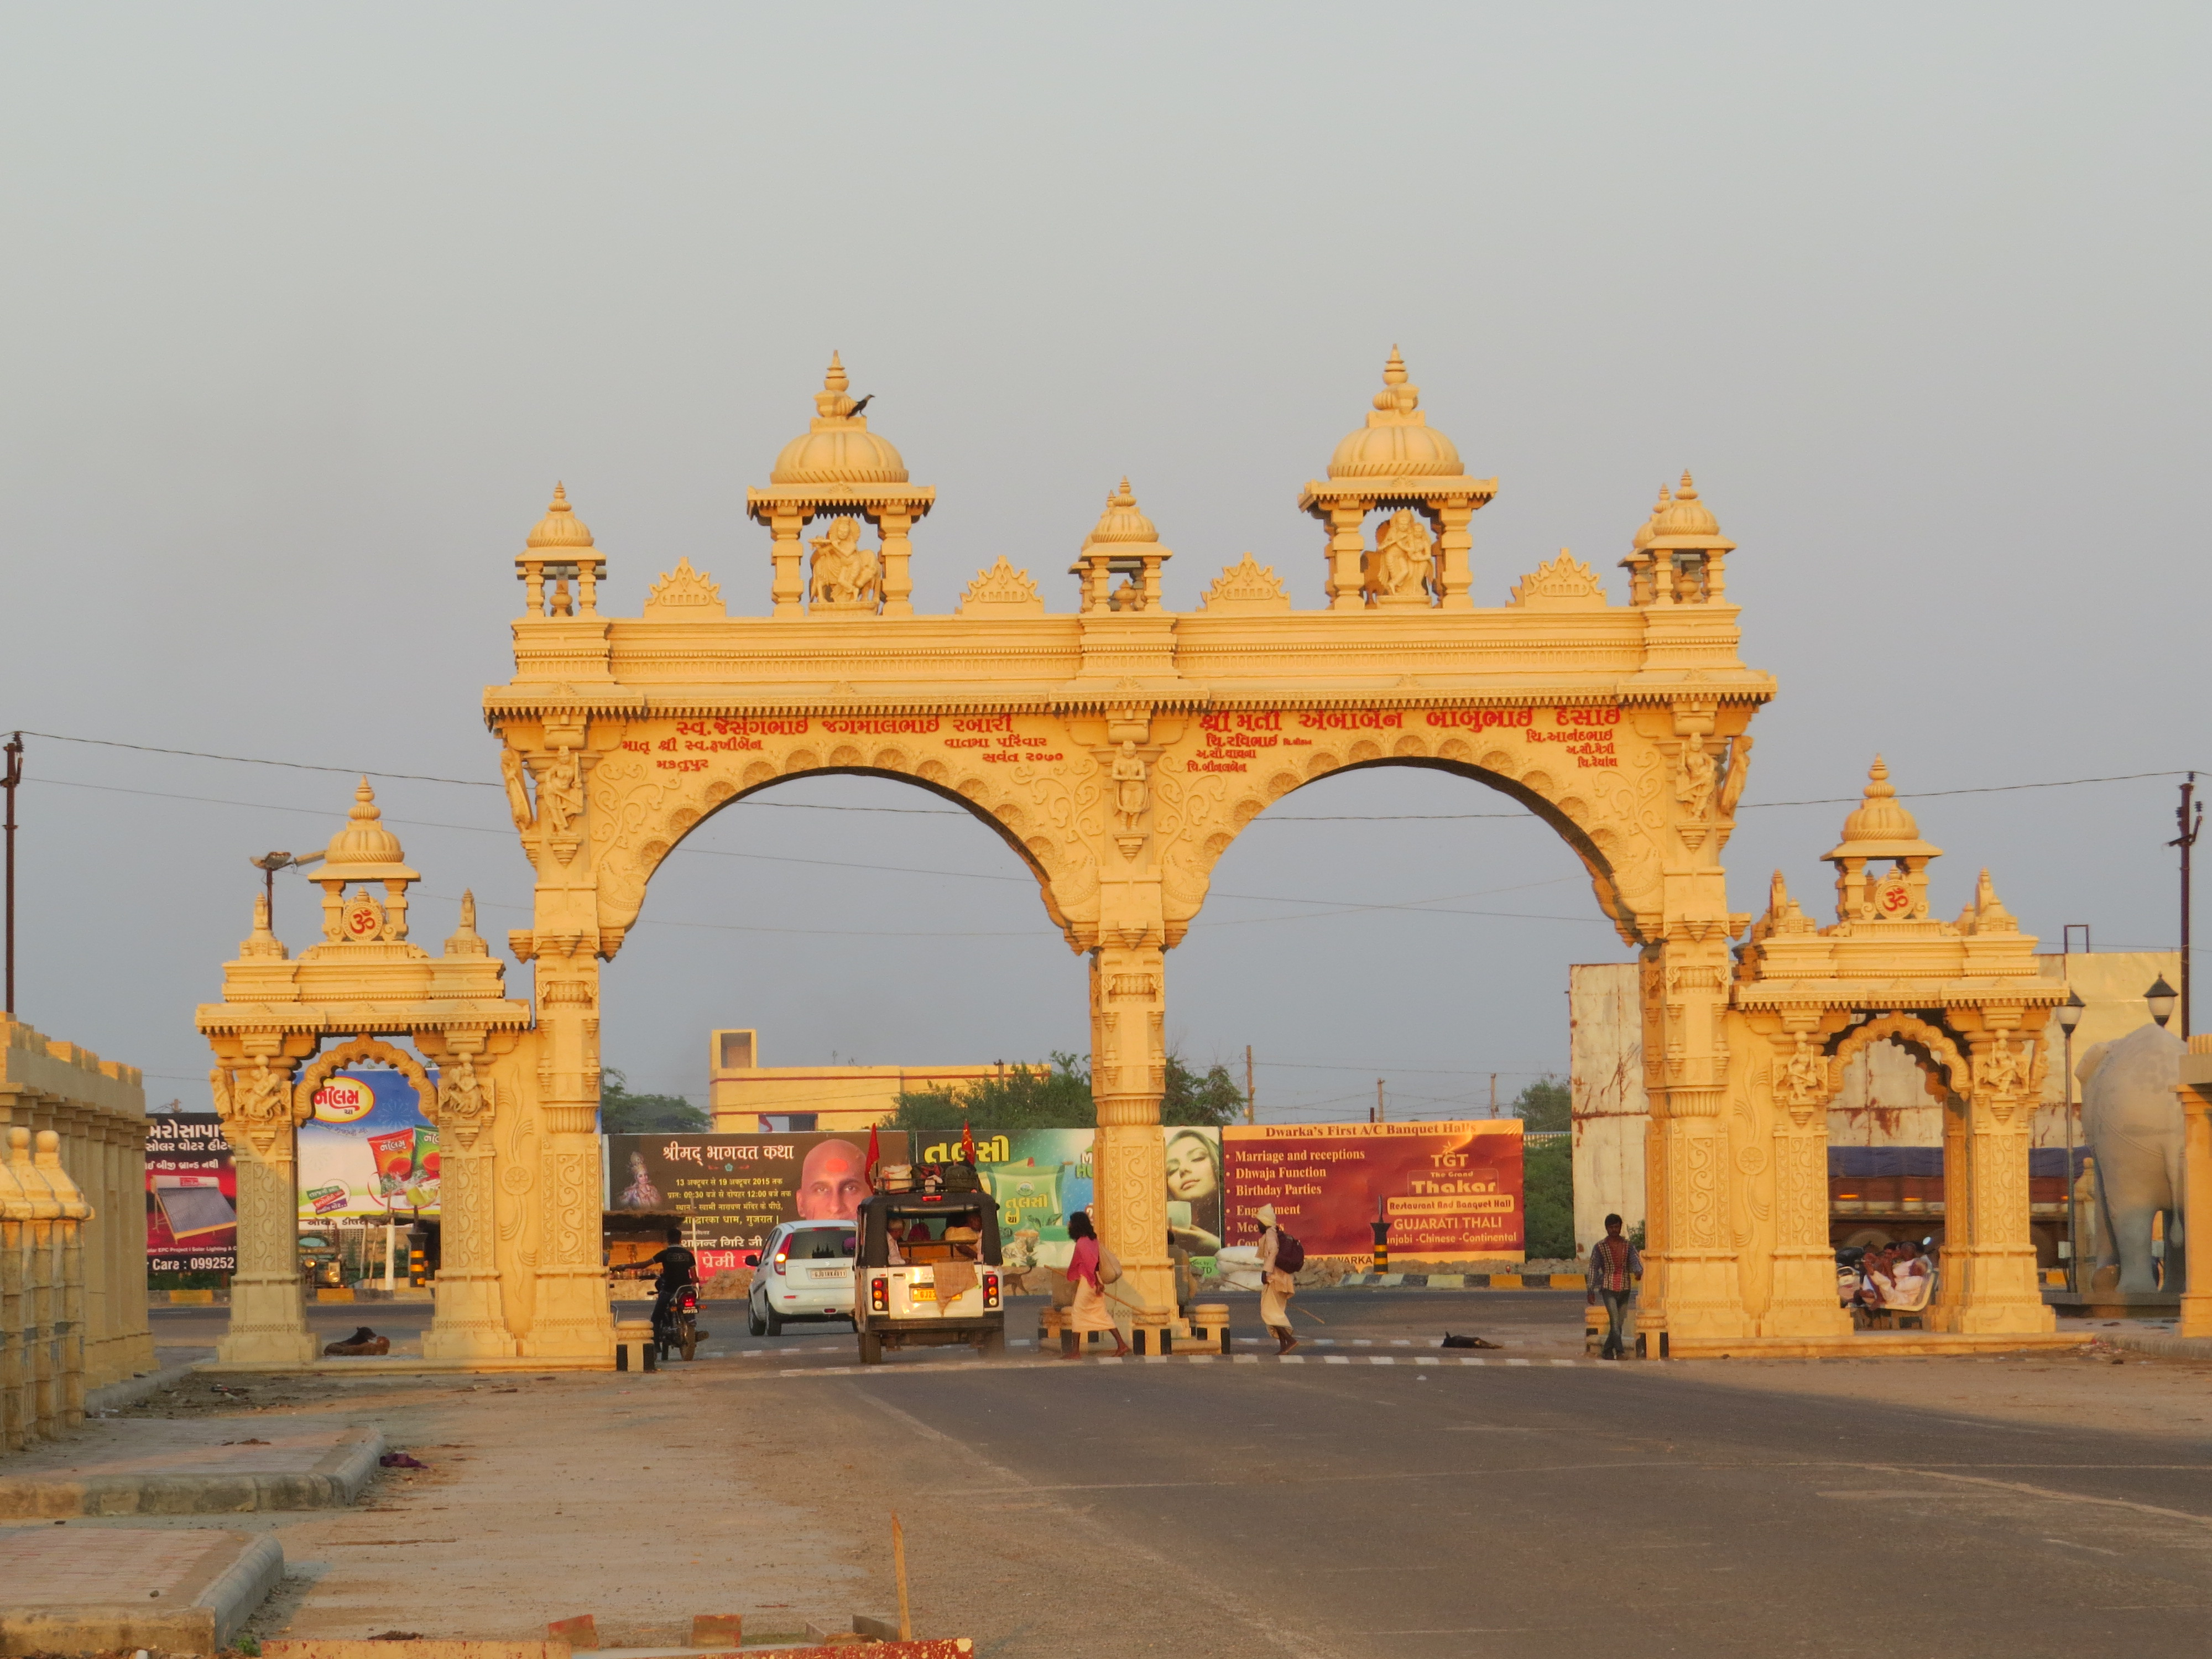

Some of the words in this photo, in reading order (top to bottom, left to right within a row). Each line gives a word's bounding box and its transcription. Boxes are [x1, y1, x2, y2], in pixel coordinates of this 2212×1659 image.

[618, 734, 654, 762] માતૂ
[656, 734, 680, 756] श्री
[654, 757, 712, 774] મકતુપુર
[669, 717, 712, 738] સ્વ
[682, 735, 769, 754] સ્વ.३ખીબેન
[711, 715, 813, 739] જેસંગભાઈ
[815, 713, 945, 740] જગમાલભાઇ
[941, 735, 994, 753] વાતમા
[948, 711, 1017, 736] રબારી
[979, 748, 1022, 764] સવંત
[993, 732, 1052, 749] પરિવાર
[1022, 748, 1066, 765] ર૦૭૦
[1183, 759, 1250, 775] યિ.બીનલબેન
[1192, 746, 1262, 762] અ.સી.થાયના
[1196, 708, 1285, 733] શ્રીમતી
[1203, 731, 1281, 752] ચિ.રવિભાઈ
[1290, 708, 1407, 735] અબાબેન
[1417, 706, 1537, 736] બાબુભાઇ
[1523, 726, 1618, 745] ચિ.આનંદભાઇ
[1550, 703, 1624, 728] હેસાઈ
[1563, 740, 1620, 757] અ.સી.મૈત્રી
[1574, 754, 1621, 773] યિ.રેયાંશ
[1877, 880, 1914, 921] ॐ
[343, 901, 383, 943] ॐ
[313, 1078, 367, 1114] નીલમ
[161, 1116, 221, 1139] રોસાપા
[1262, 1124, 1324, 1139] Dwarka
[1324, 1123, 1358, 1136] First
[1357, 1122, 1383, 1137] A/C
[1382, 1121, 1441, 1136] Banquet
[144, 1138, 175, 1155] સોલર
[176, 1137, 206, 1153] વોટર
[659, 1137, 706, 1168] श्रीमद्
[703, 1142, 762, 1162] भागवत
[760, 1140, 797, 1162] कथा
[975, 1131, 1013, 1168] સી
[1230, 1148, 1286, 1165] Marriage
[1285, 1148, 1308, 1164] and
[1308, 1146, 1369, 1165] receptions
[1428, 1151, 1474, 1170] TGT
[1233, 1165, 1278, 1183] Dhwaja
[1276, 1165, 1329, 1181] Function
[1233, 1182, 1284, 1200] Birthday
[1284, 1180, 1328, 1197] Parties
[1407, 1177, 1499, 1197] Thakar
[1005, 1192, 1052, 1227] તુલસી યા
[1390, 1213, 1460, 1233] GUJARATI
[1460, 1212, 1505, 1230] THALI
[717, 1232, 746, 1250] गिरि
[747, 1230, 764, 1248] जी
[1418, 1230, 1458, 1248] Chinese
[1462, 1229, 1519, 1247] Continental
[150, 1255, 184, 1276] Care
[186, 1252, 238, 1272] 099252
[698, 1248, 740, 1272] प्रेमी